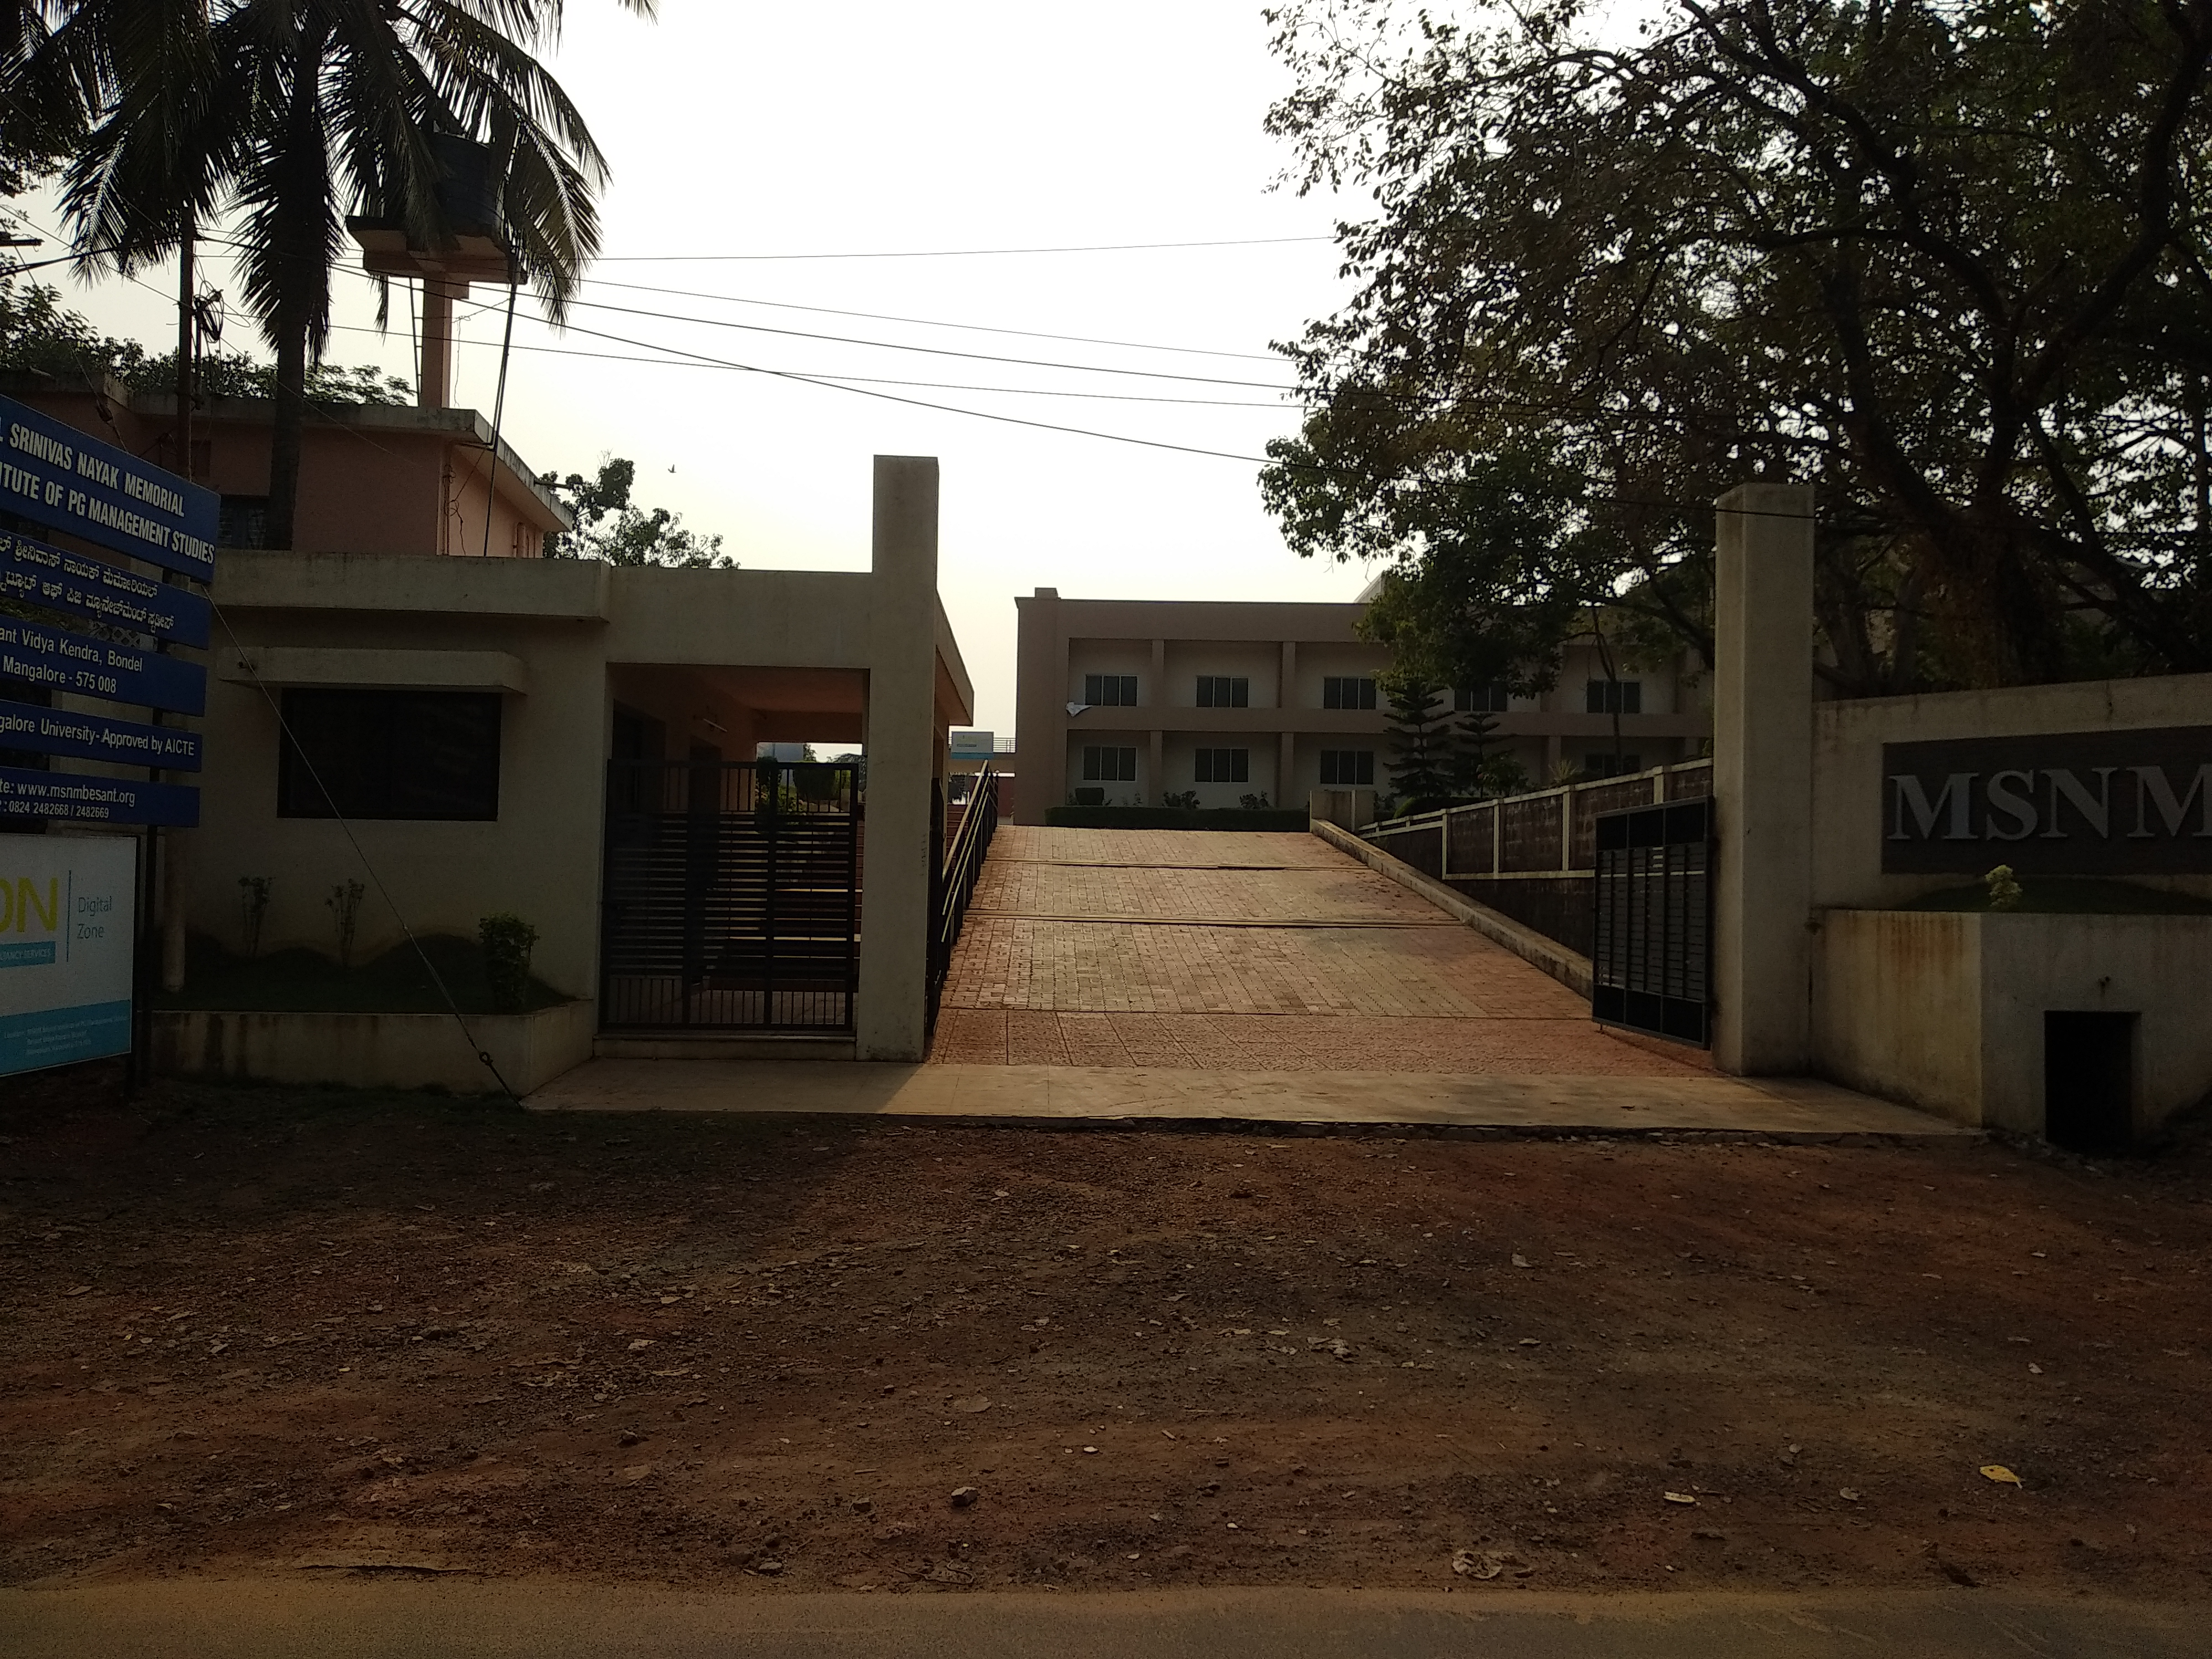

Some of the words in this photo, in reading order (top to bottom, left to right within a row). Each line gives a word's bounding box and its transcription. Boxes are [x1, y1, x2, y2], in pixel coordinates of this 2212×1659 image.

[5, 421, 77, 474] SRINIVAS
[1, 460, 43, 502] TUTE
[39, 477, 66, 512] OF
[65, 487, 89, 520] PG
[74, 450, 123, 493] NAYAK
[121, 468, 187, 521] MEMORIAL
[85, 494, 174, 552] MANAGEMENT
[2, 569, 41, 601] ಟ್ಯೂಟ್
[12, 535, 65, 571] ಶ್ರೀನಿಮಸ್
[40, 578, 65, 603] ಆಫ್
[61, 585, 86, 608] ಪಿಜ
[60, 555, 103, 583] ನಾಯಕ್
[84, 593, 151, 626] ಮ್ಯಾನೇಜ್‌ಮೆಂಟ್
[100, 565, 160, 601] ಮೆಮೋರಿಯಲ್
[144, 609, 180, 638] ಸ್ಟಡೀಸ್
[169, 527, 218, 568] STUDIES
[2, 656, 70, 686] Mangalore
[20, 626, 58, 658] Vidya
[57, 635, 102, 668] Kendra,
[72, 667, 121, 698] 575008
[106, 648, 145, 675] Bondel
[1, 710, 39, 737] galore
[36, 715, 98, 748] University
[96, 727, 151, 753] Approved
[150, 733, 166, 756] by
[163, 734, 197, 759] AICTE
[1878, 756, 2206, 847] MSNM